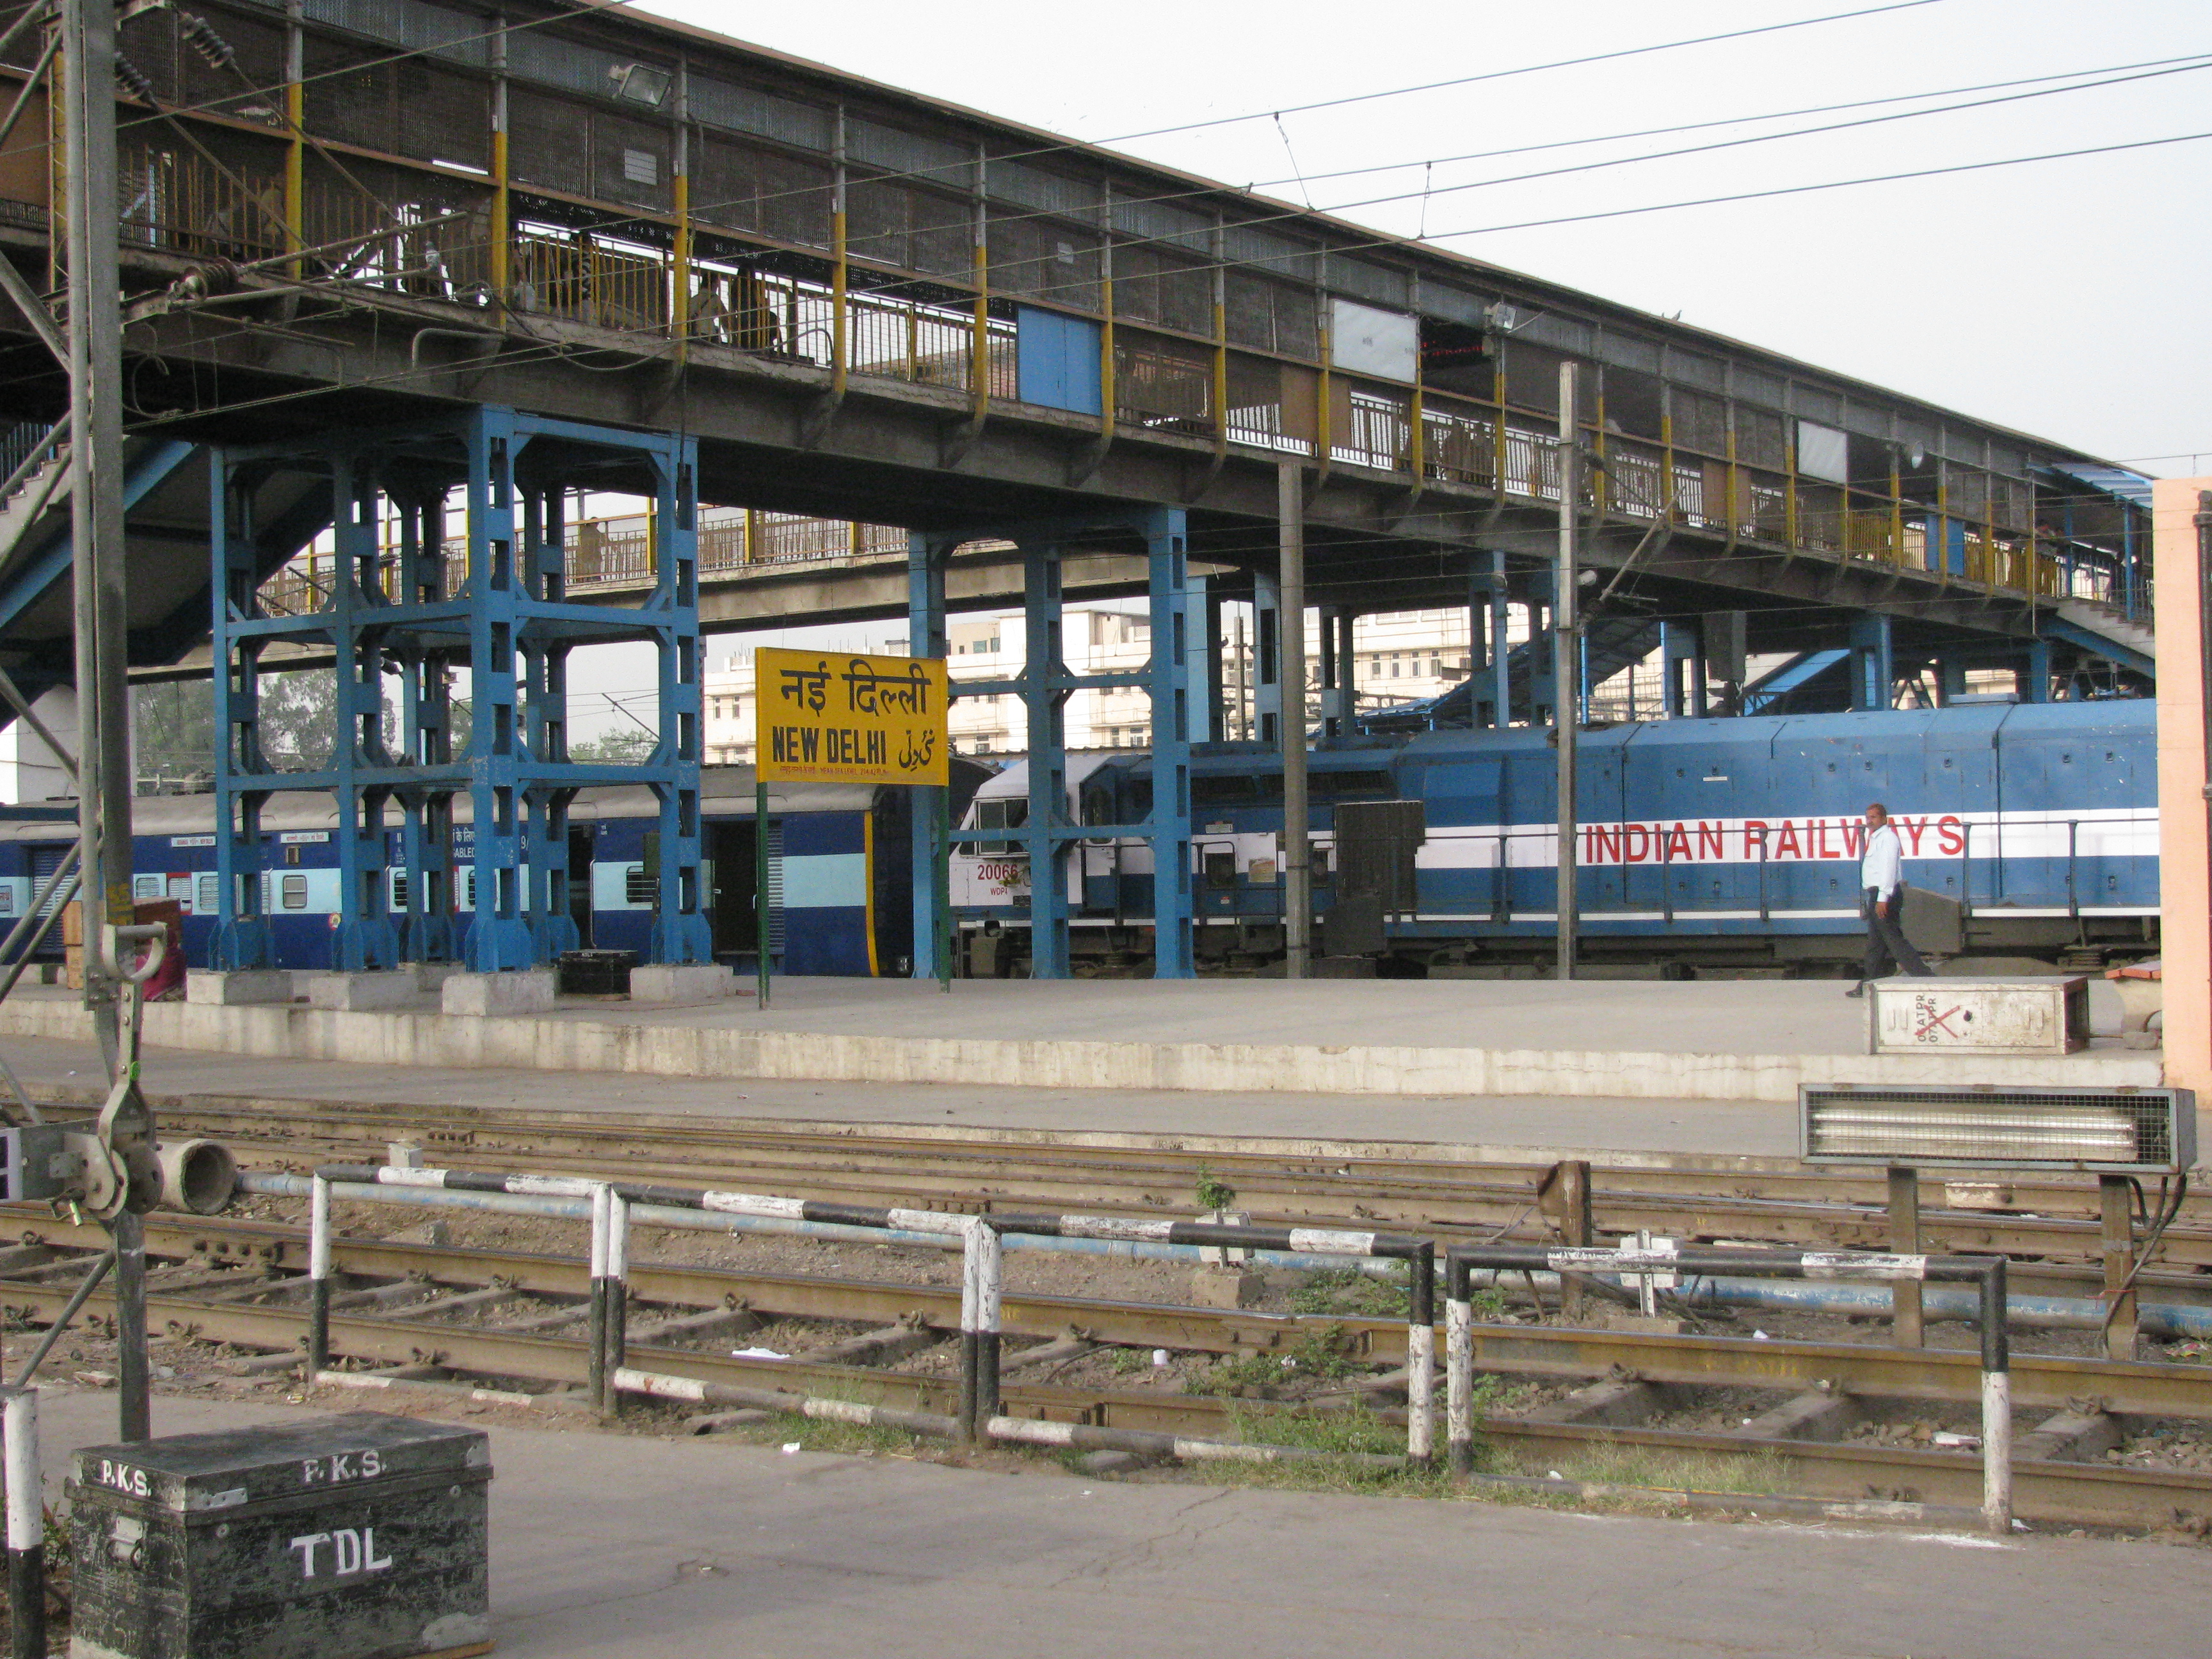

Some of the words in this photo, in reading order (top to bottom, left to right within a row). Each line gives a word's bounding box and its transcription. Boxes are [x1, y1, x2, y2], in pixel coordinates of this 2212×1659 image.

[781, 658, 835, 720] नई
[839, 655, 934, 719] दिल्ली
[769, 724, 822, 765] NEW
[824, 726, 887, 765] DELHI
[1584, 818, 1726, 866] INDIAN
[1743, 814, 1966, 862] RAILWAYS
[91, 1453, 157, 1507] P.K.S.
[300, 1443, 394, 1490] P.K.S.
[285, 1519, 397, 1592] TDL